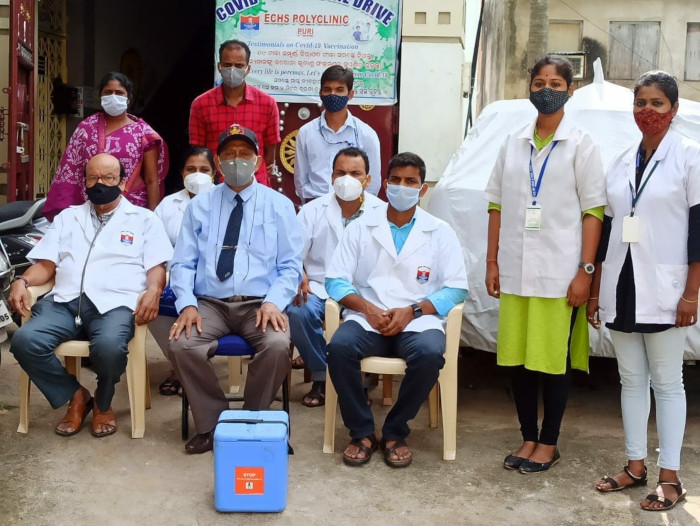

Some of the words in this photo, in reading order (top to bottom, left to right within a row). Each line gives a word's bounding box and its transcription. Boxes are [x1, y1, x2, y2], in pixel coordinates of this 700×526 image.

[207, 0, 260, 22] COVID
[258, 9, 295, 28] ECHS
[289, 9, 353, 28] POLYCLINIC
[349, 0, 398, 30] DRIVE
[293, 23, 318, 37] PURI
[289, 38, 318, 52] Covid-1
[317, 39, 363, 55] Vaccination